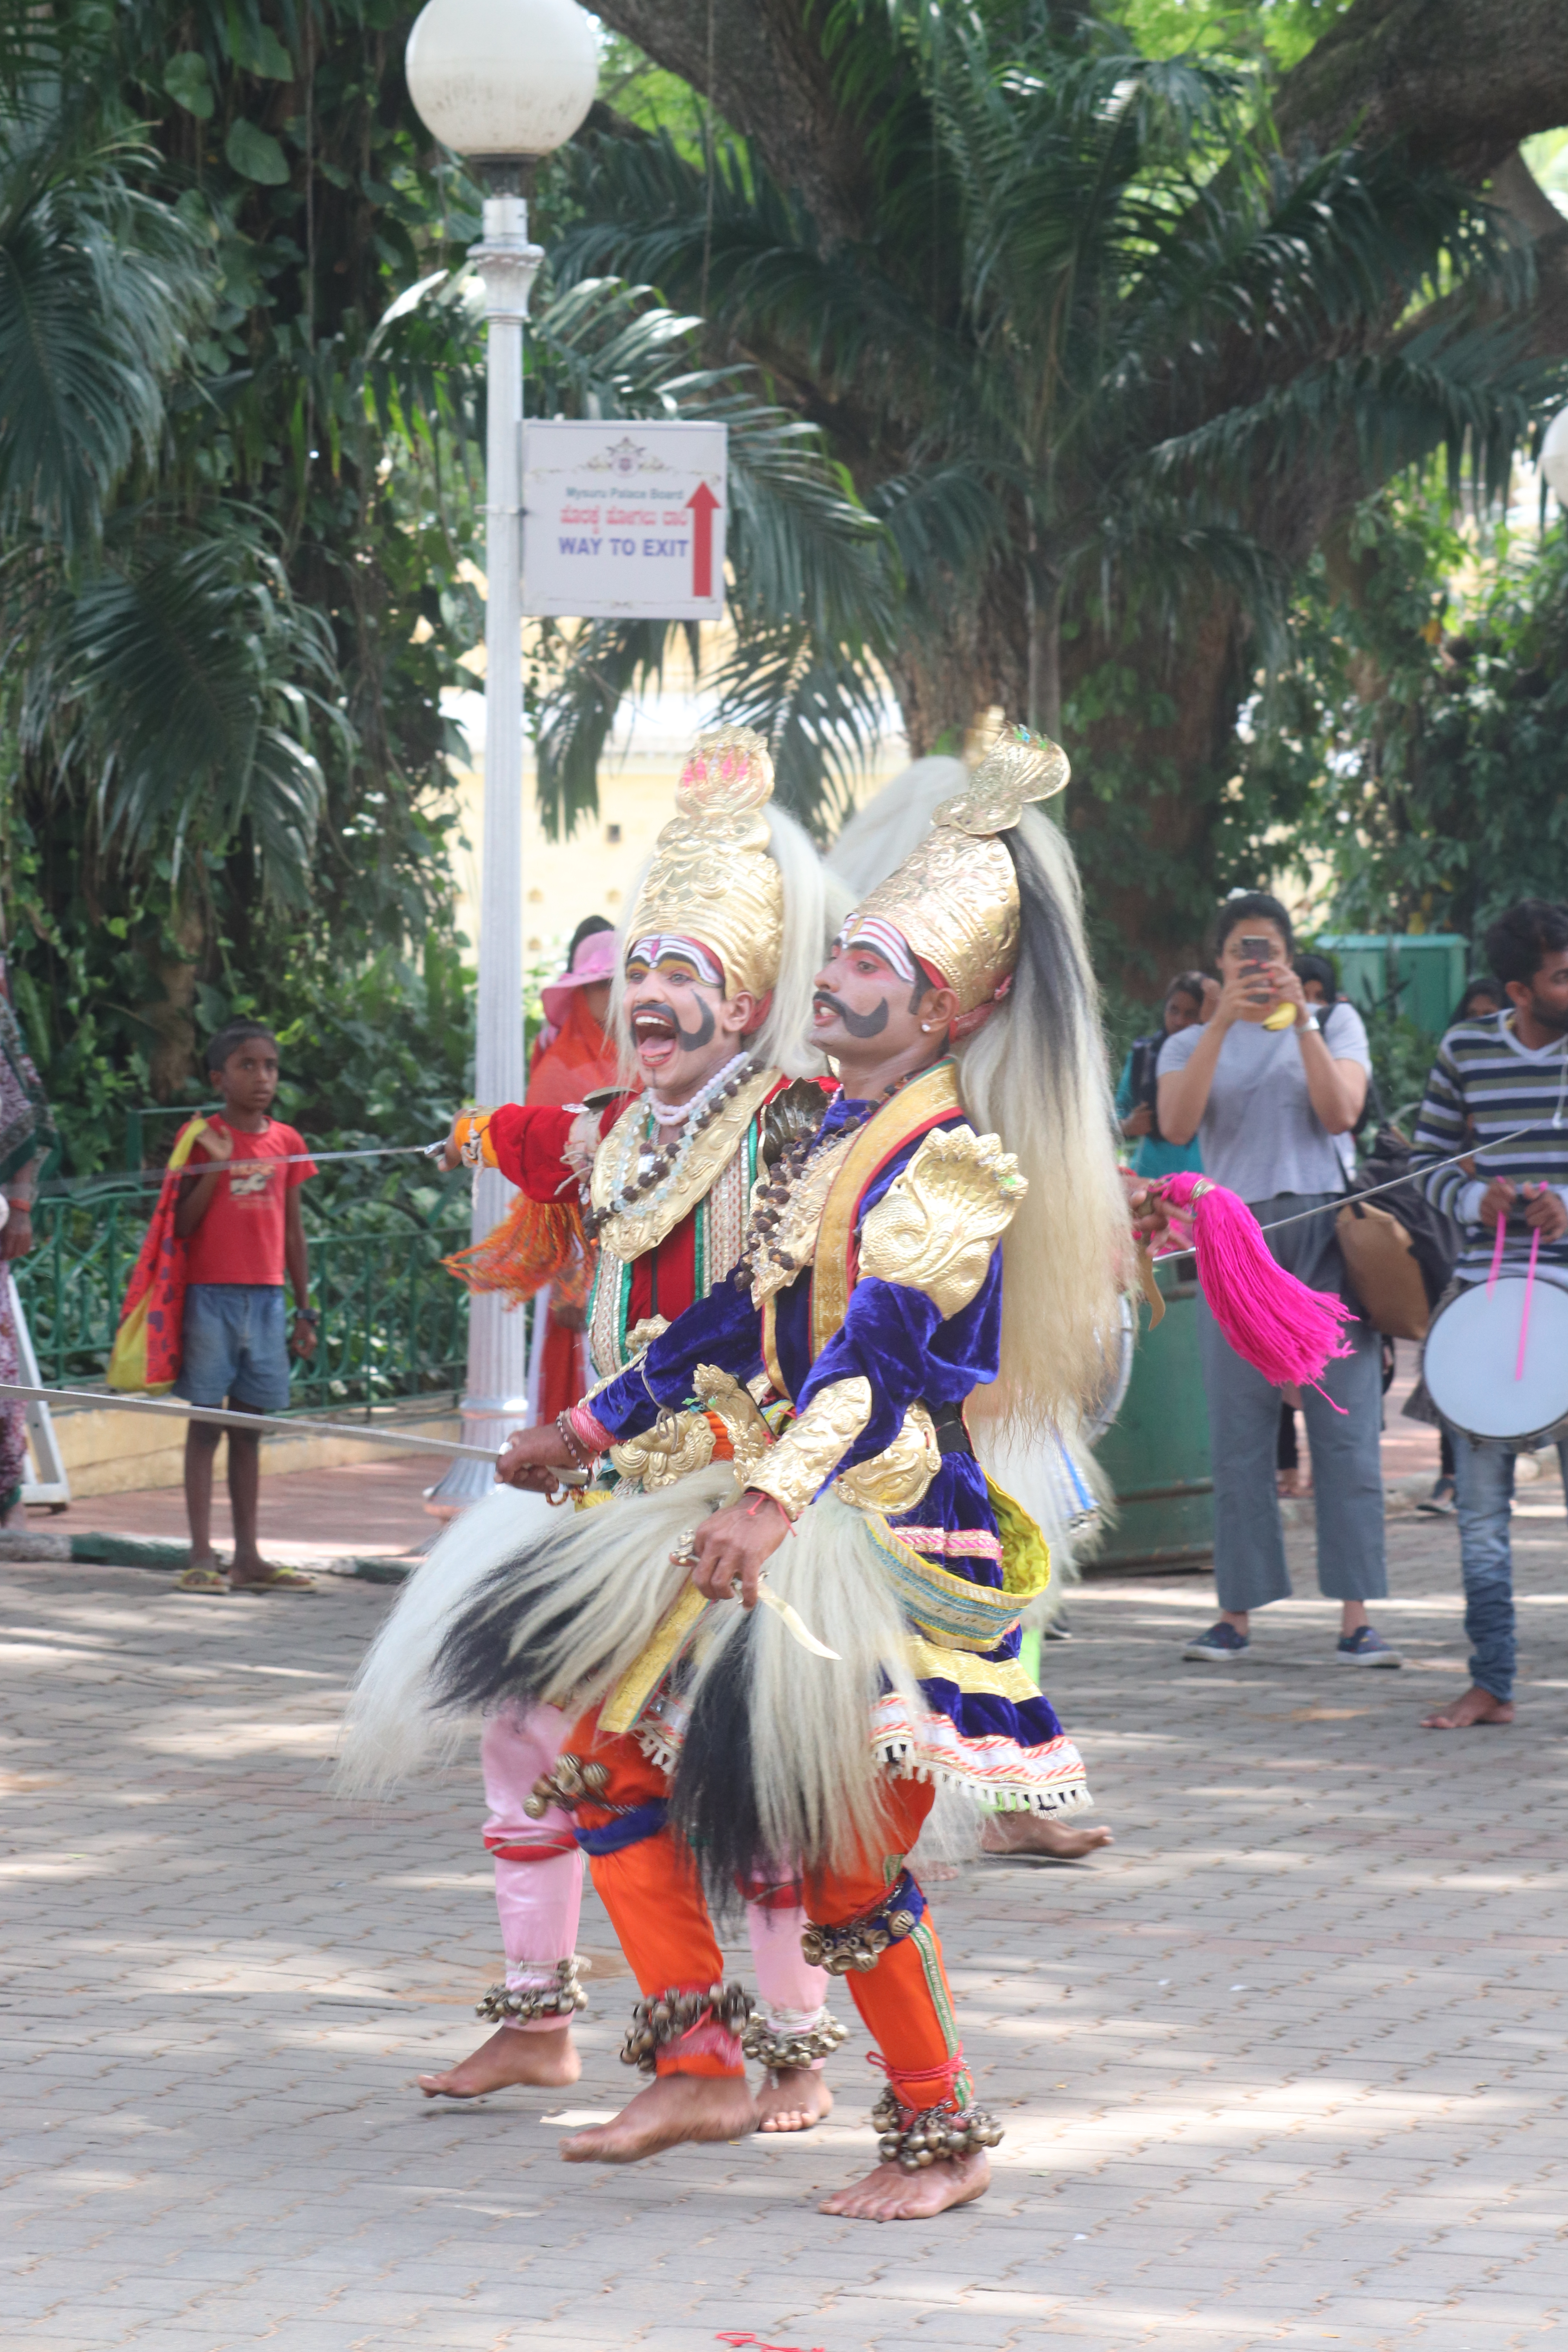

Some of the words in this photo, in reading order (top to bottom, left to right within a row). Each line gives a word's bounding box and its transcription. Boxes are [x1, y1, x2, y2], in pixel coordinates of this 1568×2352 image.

[559, 503, 603, 532] ಹೊರಕ್ಕೆ
[604, 503, 662, 534] ಹೋಗಲು
[554, 533, 606, 559] WAY
[609, 535, 641, 557] TO
[643, 534, 691, 563] EXIT